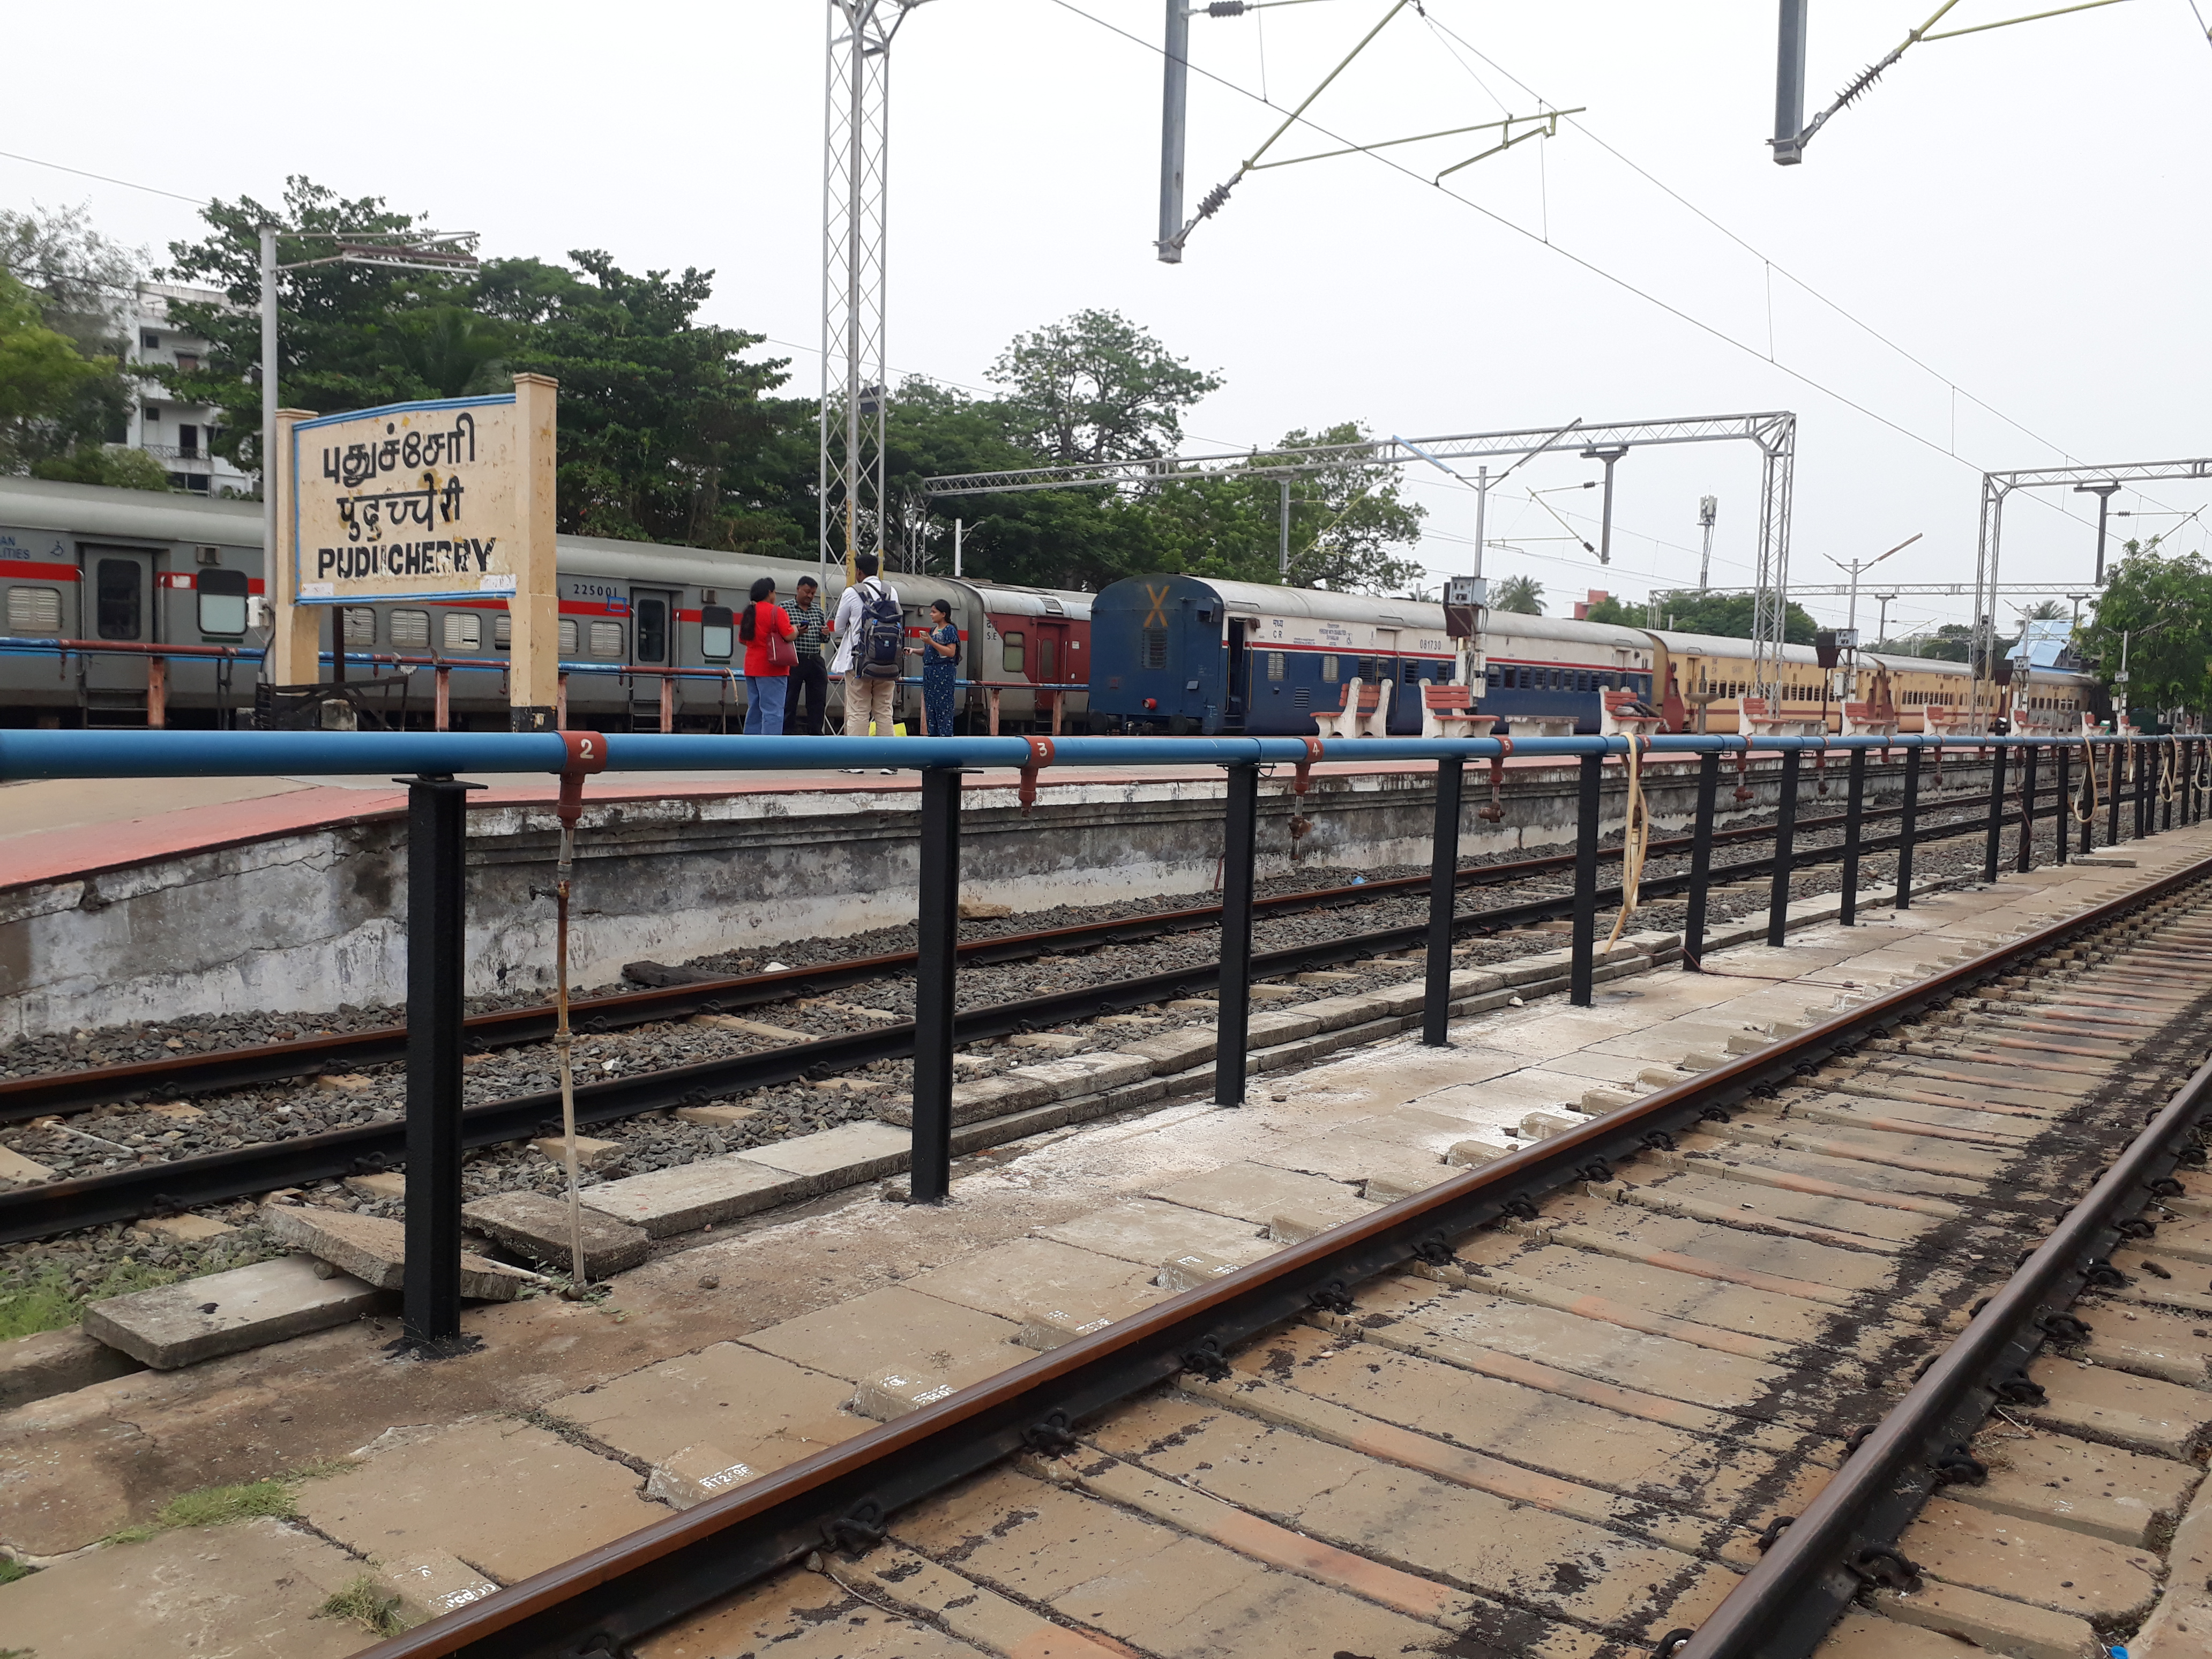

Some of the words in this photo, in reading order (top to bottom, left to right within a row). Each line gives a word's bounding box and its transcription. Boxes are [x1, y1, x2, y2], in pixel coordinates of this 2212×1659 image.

[322, 409, 480, 491] புதுச்சோி
[337, 469, 467, 544] पुदुच्चेरी
[316, 535, 498, 582] PUDUCHERRY